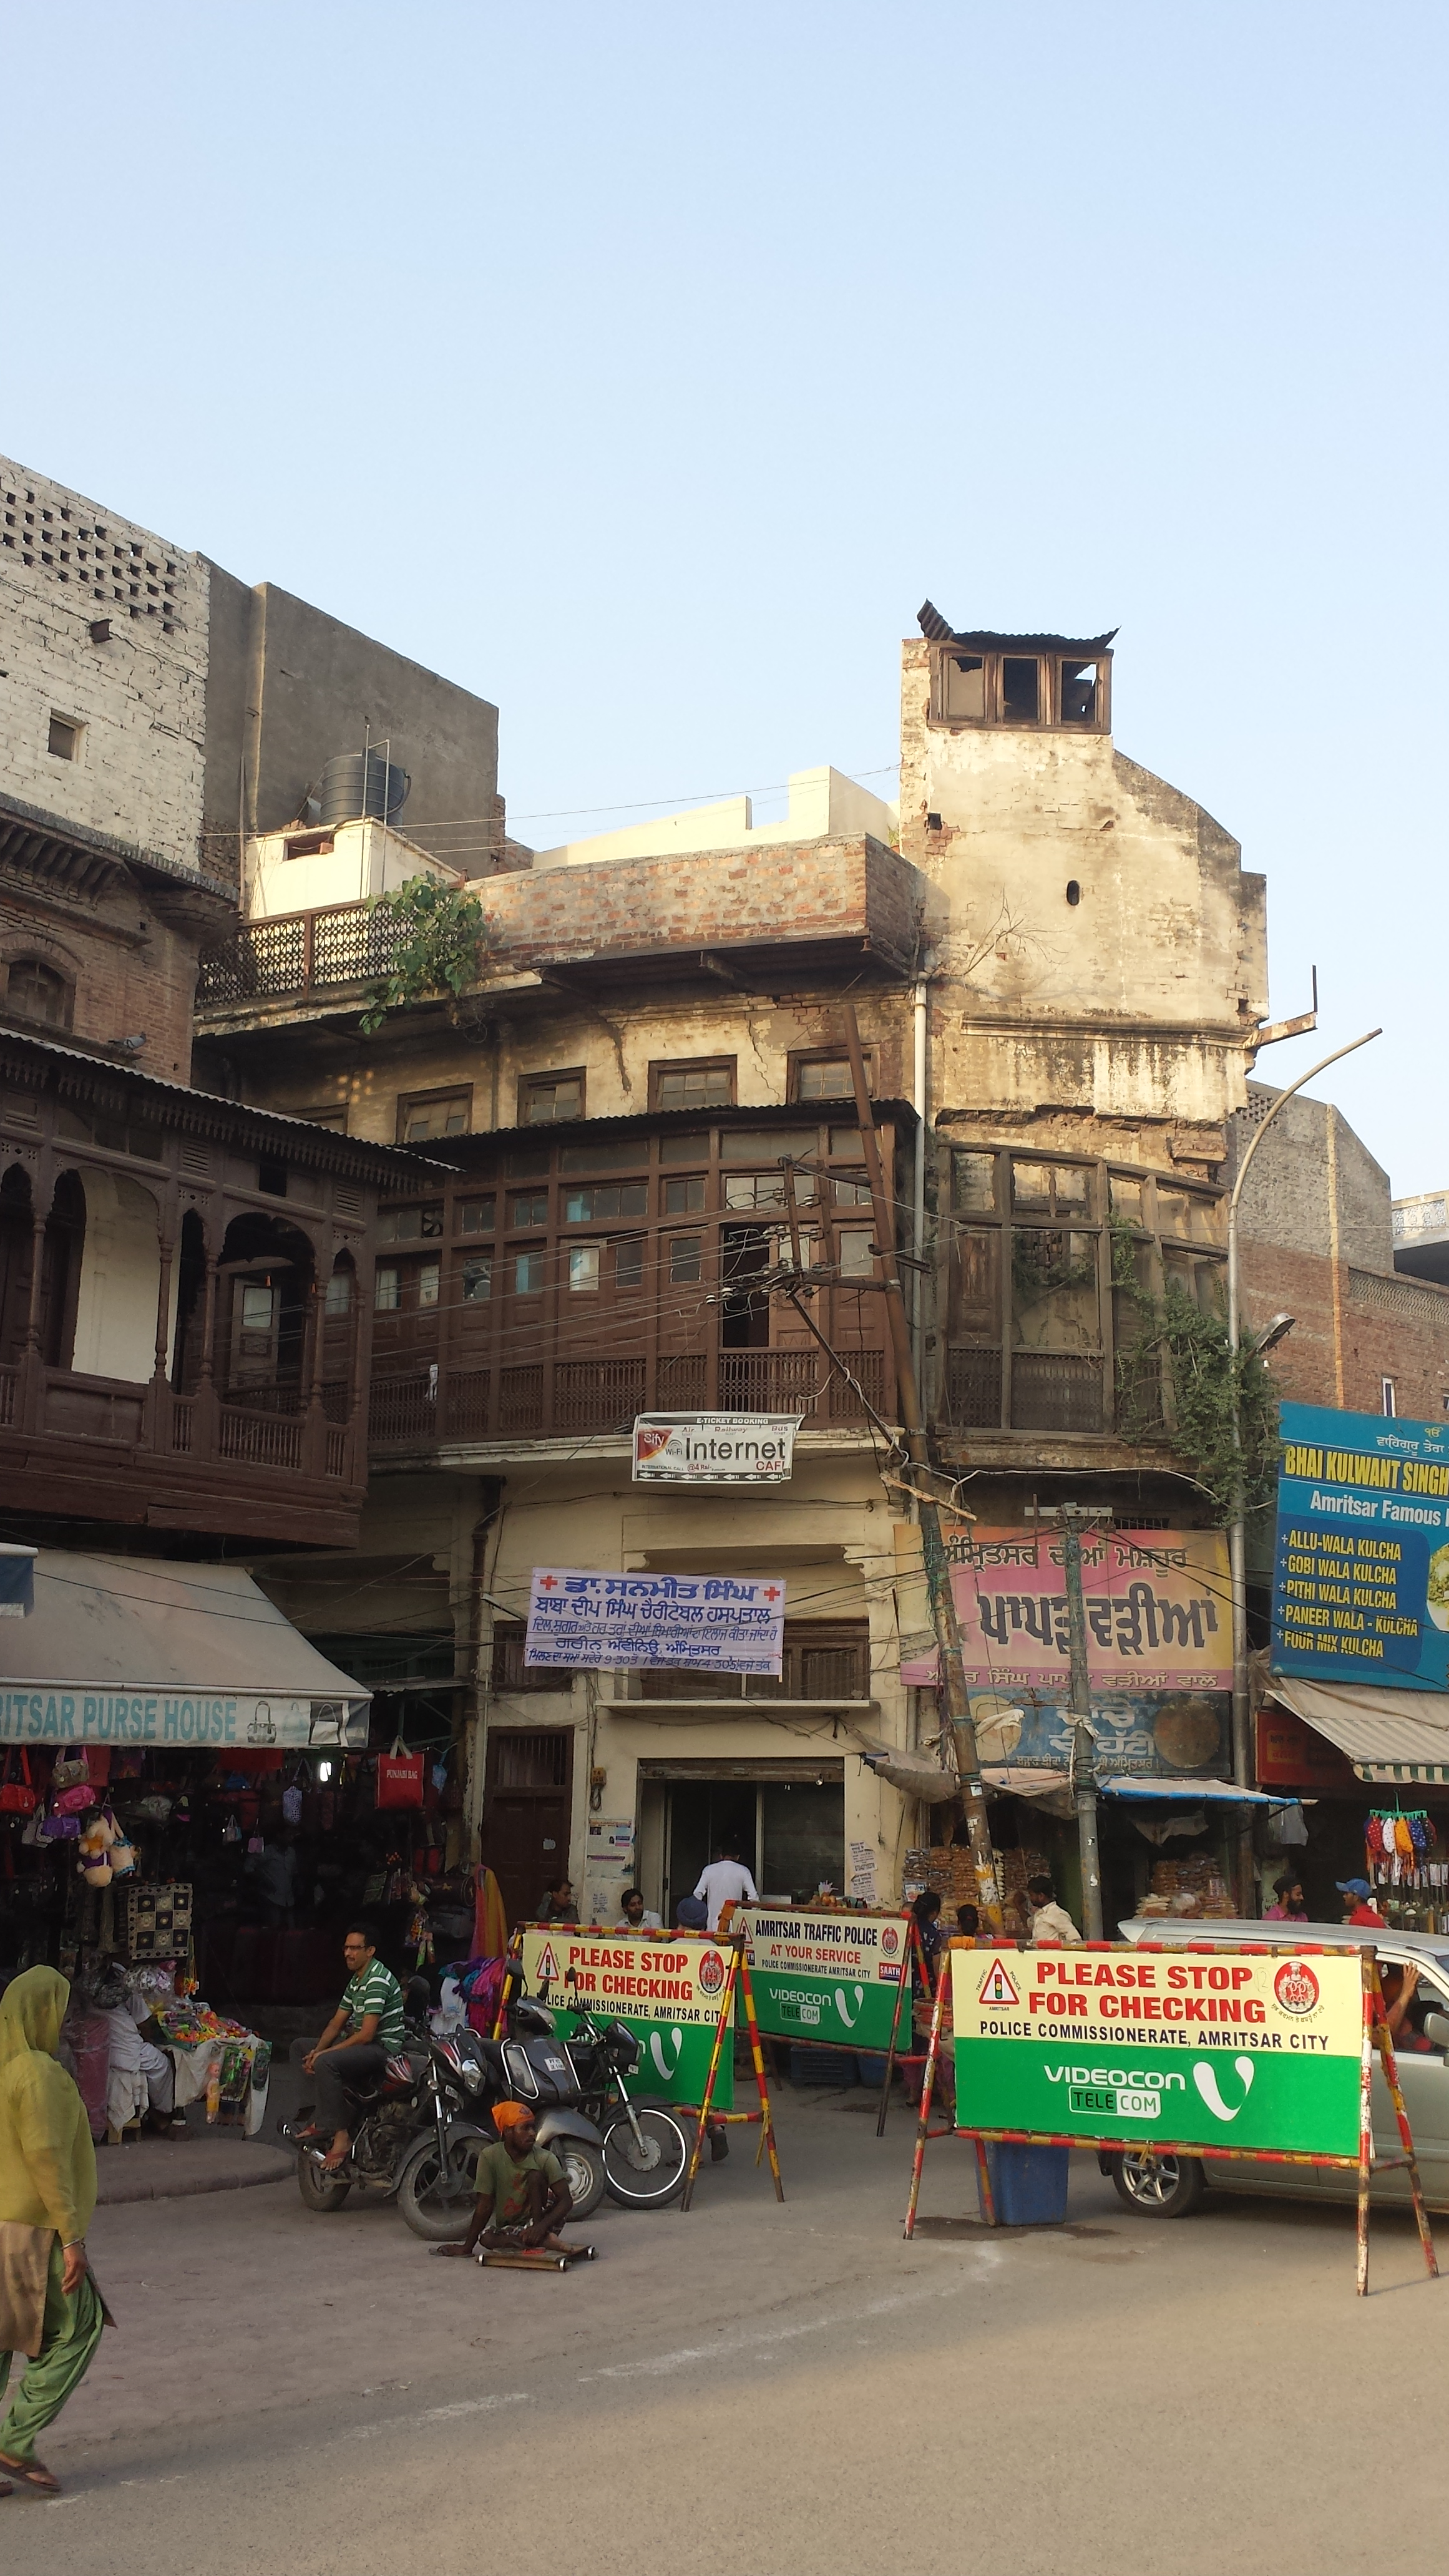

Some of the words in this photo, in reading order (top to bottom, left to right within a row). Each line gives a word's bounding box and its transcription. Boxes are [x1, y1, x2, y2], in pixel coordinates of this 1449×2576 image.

[694, 1416, 732, 1425] E-TICKET
[731, 1417, 769, 1425] BOOKING
[683, 1437, 790, 1463] Internet
[753, 1460, 789, 1473] CAF
[1281, 1438, 1325, 1483] BHAI
[1325, 1447, 1403, 1494] KULWANT
[1375, 1432, 1422, 1458] ਵਾਹਿਗੁਰੂ
[1421, 1436, 1448, 1458] ਤੇਗ
[1306, 1486, 1380, 1523] Amritsar
[1378, 1497, 1445, 1531] Famous
[526, 1647, 554, 1663] ਮਿਲਣ
[532, 1592, 570, 1616] ਬਾਬਾ
[551, 1649, 562, 1664] ਦਾ
[562, 1649, 582, 1664] ਸਮਾਂ
[553, 1634, 605, 1651] ਗਰੀਨ
[562, 1574, 603, 1596] ਡਾ
[570, 1594, 607, 1621] ਦੀਪ
[577, 1651, 606, 1667] ਸਵੇਰੇ
[602, 1652, 630, 1667] 9-30
[600, 1596, 640, 1622] ਸਿੰਘ
[607, 1638, 663, 1654] ਅੰਵੀਨਿਉ
[630, 1654, 640, 1667] ਤੋ
[603, 1573, 704, 1601] ਸਨਮੀਤ
[638, 1598, 706, 1625] ਚੈਰੀਟੇਬਲ
[662, 1639, 727, 1658] ਅੰਮ੍ਰਿਤਸਰ
[701, 1577, 763, 1603] ਸਿੰਘ
[705, 1603, 774, 1626] ਹਸਪਤਾਲ
[728, 1624, 751, 1646] ਕੀਤਾ
[748, 1626, 769, 1645] ਜਾਂਦਾ
[769, 1624, 783, 1644] ਹੈ
[941, 1531, 1042, 1576] ਅੰਮ੍ਰਿਤਸਰ
[1110, 1540, 1193, 1581] ਮਸ਼ਹੂਰ
[1085, 1578, 1224, 1660] ਵੜੀਆਂ
[1281, 1628, 1317, 1652] FOUR
[1284, 1578, 1317, 1603] PITHI
[1285, 1554, 1317, 1578] GOBI
[1284, 1601, 1333, 1629] PANEER
[1286, 1525, 1359, 1559] ALLU-WALA
[1317, 1631, 1340, 1656] MIX
[1317, 1581, 1352, 1606] WALA
[1316, 1556, 1354, 1582] WALA
[1339, 1634, 1393, 1661] KULCHA
[1352, 1585, 1400, 1612] KULCHA
[1331, 1609, 1421, 1638] WALA-KULCHA
[1352, 1559, 1401, 1588] KULCHA
[1357, 1536, 1406, 1563] KULCHA
[983, 1664, 1035, 1689] ਸਿੰਘ
[1098, 1667, 1174, 1689] ਵੜੀਆਂ
[1173, 1669, 1222, 1692] ਵਾਲੇ
[2, 1686, 81, 1743] ITSAR
[79, 1694, 163, 1742] PURSE
[161, 1697, 241, 1744] HOUSE
[754, 1916, 803, 1940] AMRITSAR
[802, 1920, 843, 1944] TRAFFIC
[843, 1923, 879, 1949] POLICE
[567, 1943, 638, 1973] PLEASE
[591, 1996, 653, 2020] ISSIONERATE,
[598, 1971, 696, 2003] CHECKING
[638, 1950, 691, 1976] STOP
[652, 2003, 702, 2025] AMRITSAR
[759, 1956, 779, 1971] POLICE
[768, 1941, 784, 1958] AT
[783, 1943, 814, 1961] YOUR
[764, 1983, 835, 2008] VIDEOCON
[781, 2004, 819, 2022] TELECOM
[779, 1960, 829, 1978] COMMISSIONERATE
[814, 1946, 864, 1966] SERVICE
[827, 1966, 858, 1979] AMRITSAR
[857, 1968, 872, 1981] CITY
[1028, 1989, 1092, 2020] FOR
[1030, 1959, 1161, 1993] PLEASE
[1096, 1993, 1269, 2027] CHECKING
[1165, 1962, 1257, 1994] STOP
[977, 2017, 1035, 2039] POLICE
[1033, 2020, 1194, 2048] COMMISSIONERATE,
[1194, 2029, 1286, 2054] AMRITSAR
[1285, 2031, 1332, 2054] CITY
[1040, 2061, 1191, 2095] VIDEOCON
[1071, 2090, 1161, 2117] TELECOM